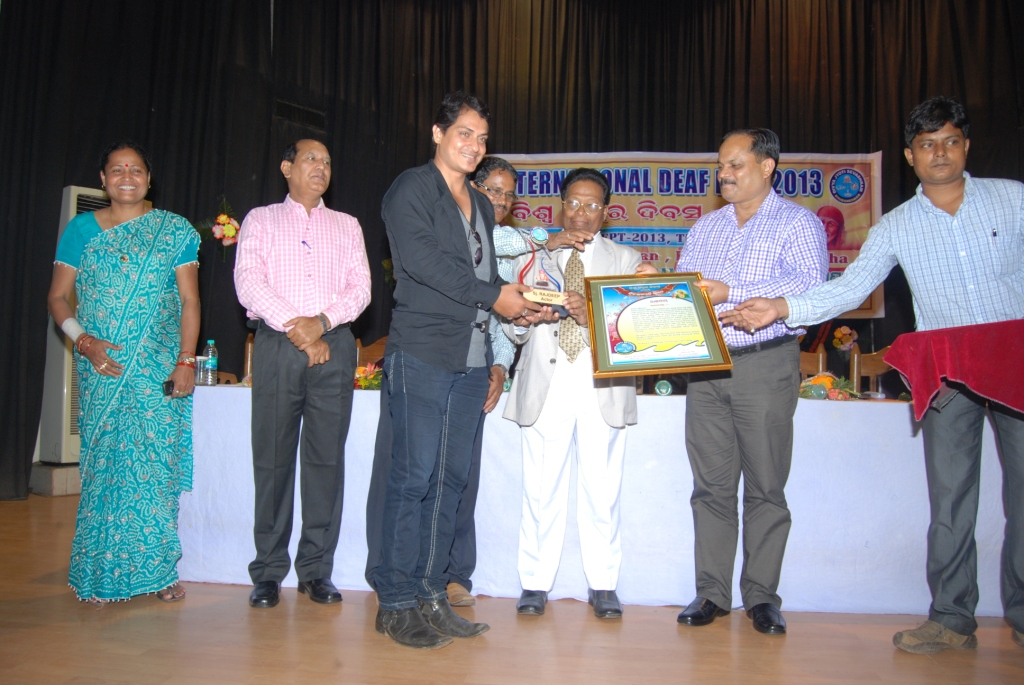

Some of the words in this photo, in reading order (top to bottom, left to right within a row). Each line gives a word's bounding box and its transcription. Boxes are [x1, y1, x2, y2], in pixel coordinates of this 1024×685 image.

[507, 155, 655, 199] TERNAL
[656, 165, 713, 196] DEAF
[770, 161, 826, 199] 2013
[505, 195, 558, 233] ବିଶ୍ବ
[630, 188, 705, 224] ଦିବସ